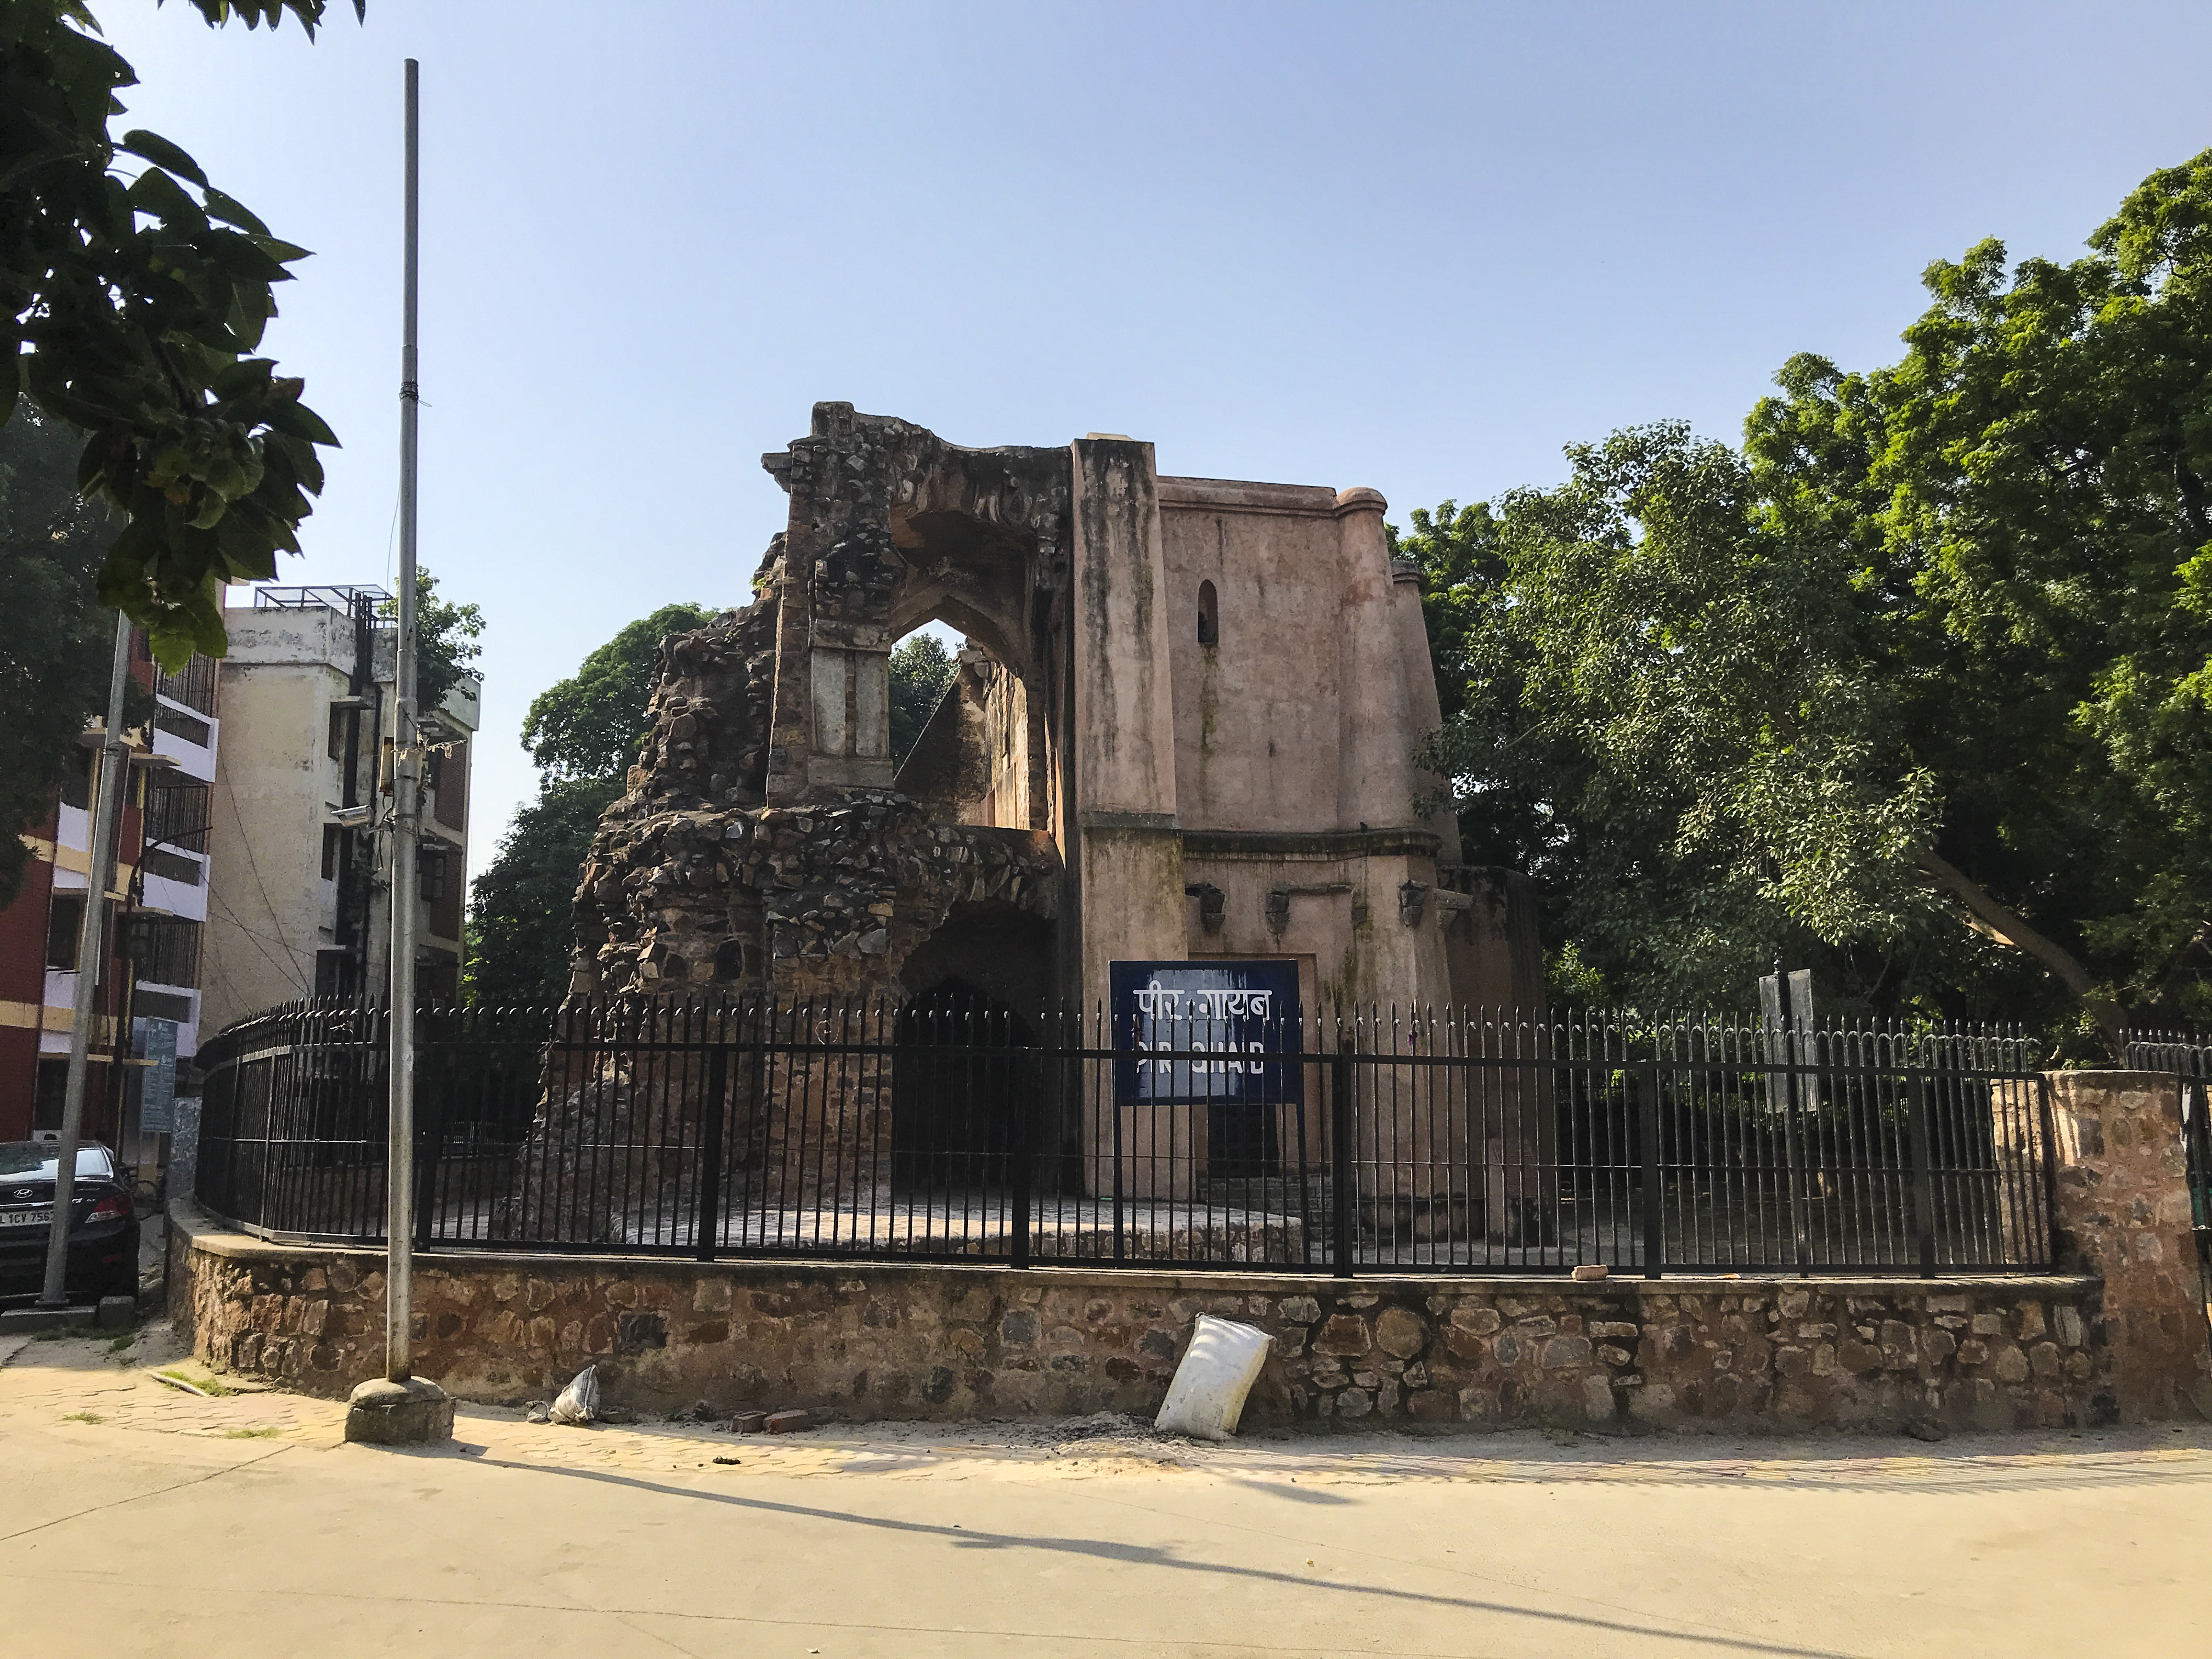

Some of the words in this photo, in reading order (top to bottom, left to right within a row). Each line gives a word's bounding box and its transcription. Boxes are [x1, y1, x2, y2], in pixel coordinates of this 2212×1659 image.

[1133, 978, 1184, 1022] पीर
[1195, 989, 1273, 1024] गायब